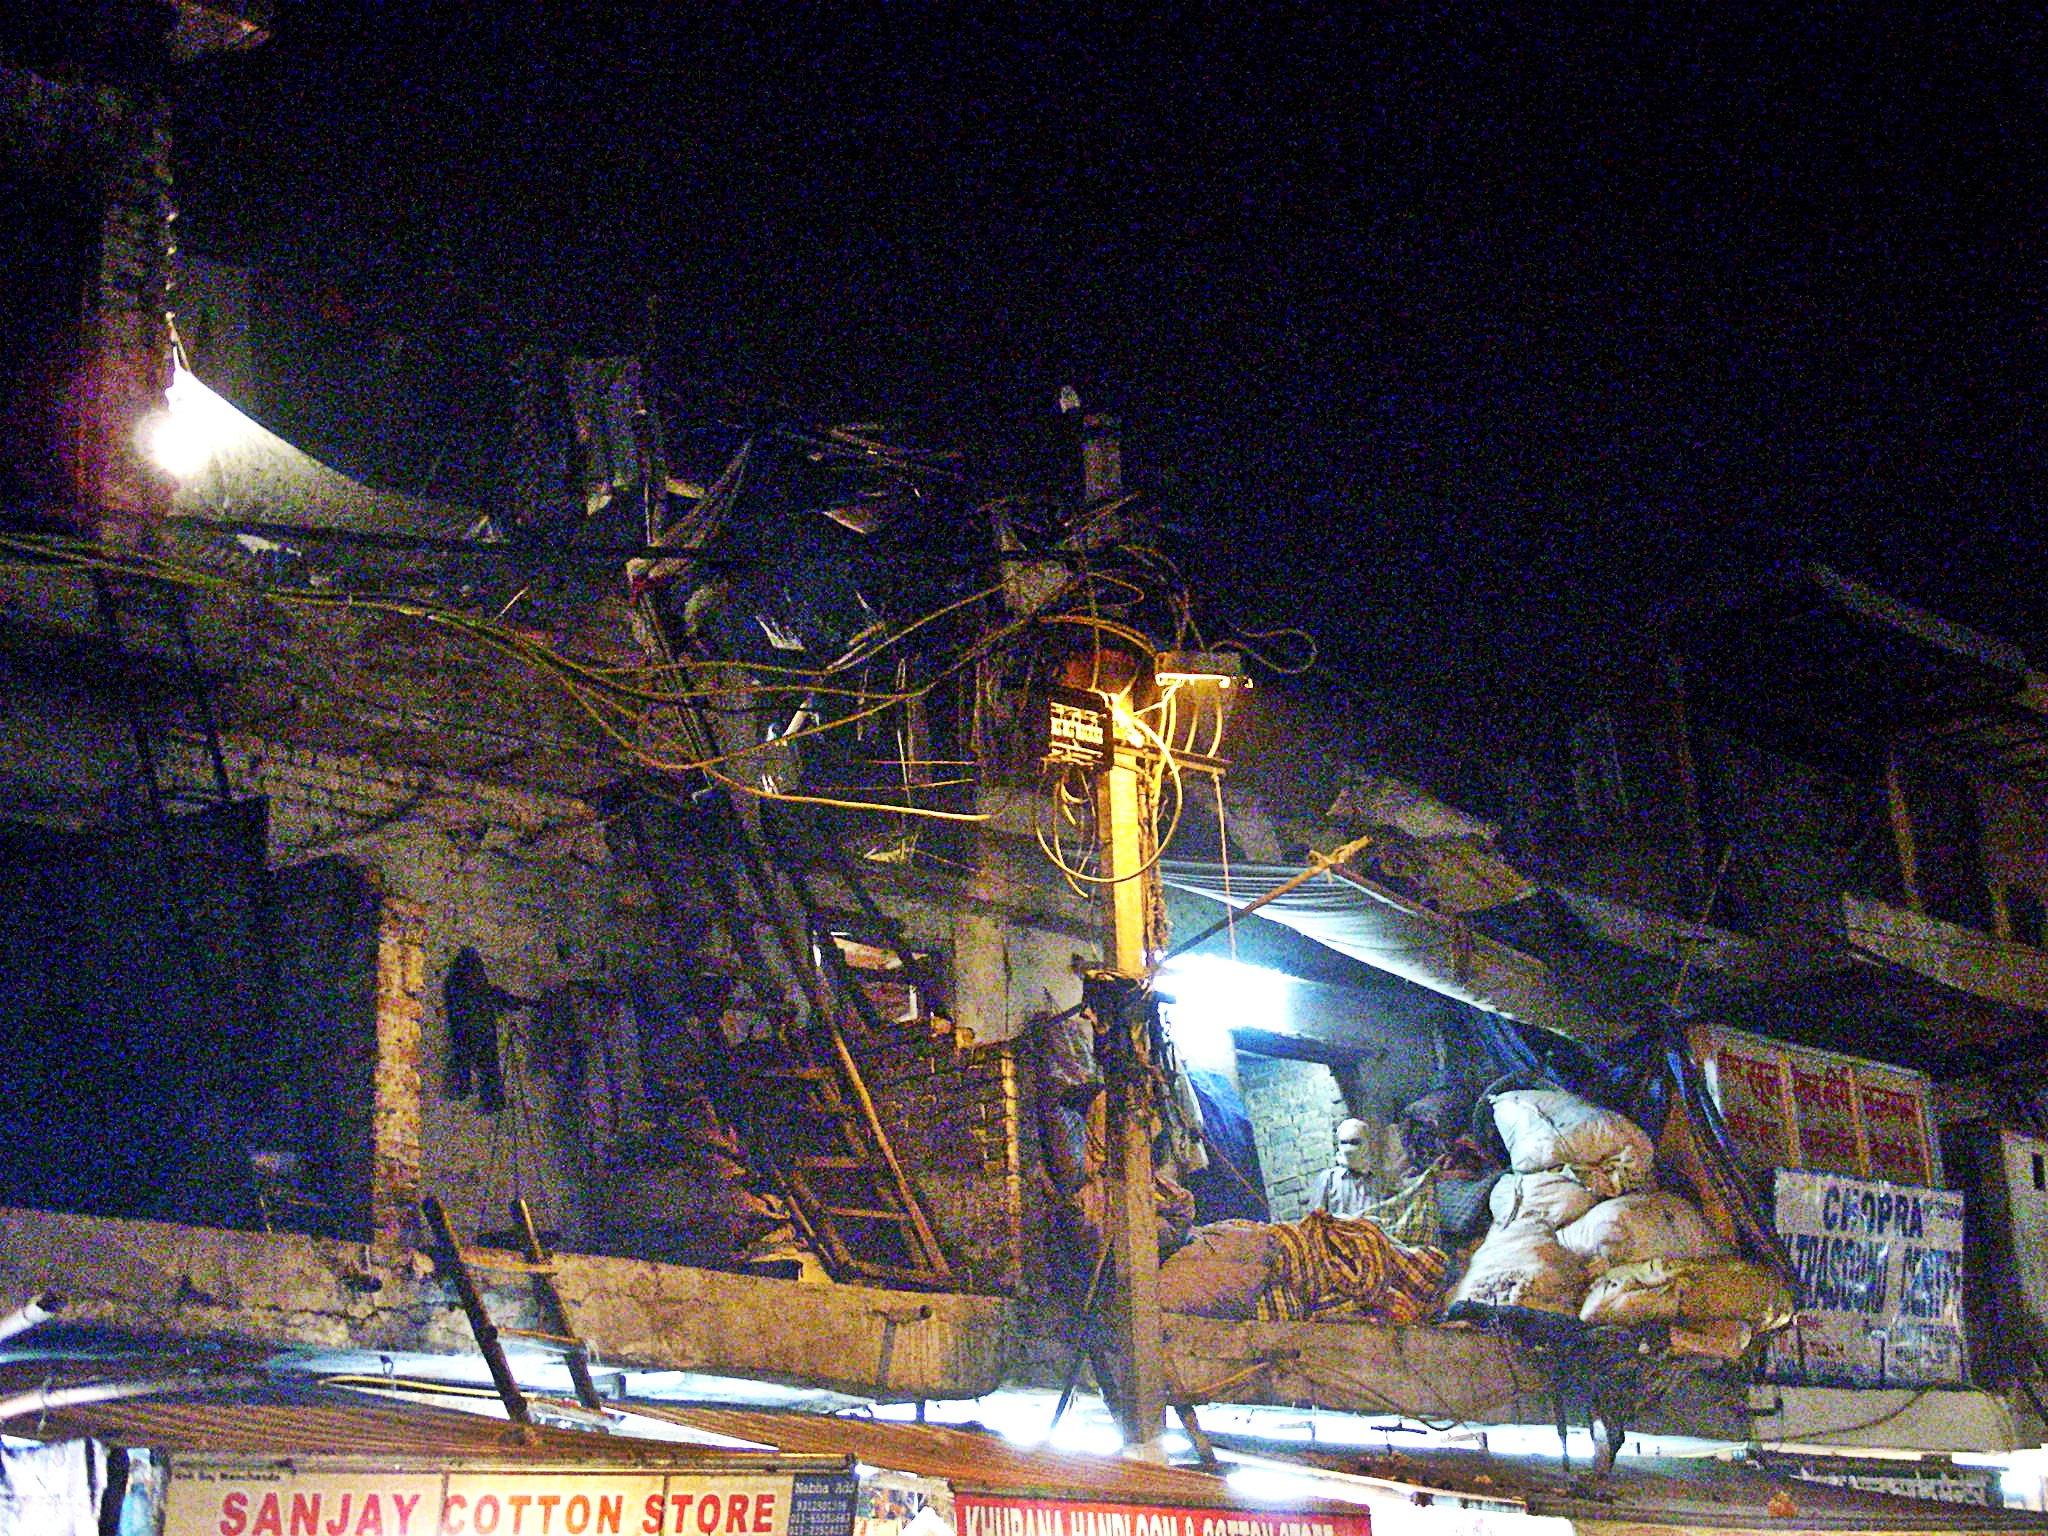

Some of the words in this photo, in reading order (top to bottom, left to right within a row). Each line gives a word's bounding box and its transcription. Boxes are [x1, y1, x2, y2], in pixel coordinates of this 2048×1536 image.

[1815, 1178, 1932, 1247] CHOPRA
[215, 1489, 421, 1535] SANJAY
[438, 1493, 623, 1535] COTTON
[634, 1492, 776, 1533] STORE